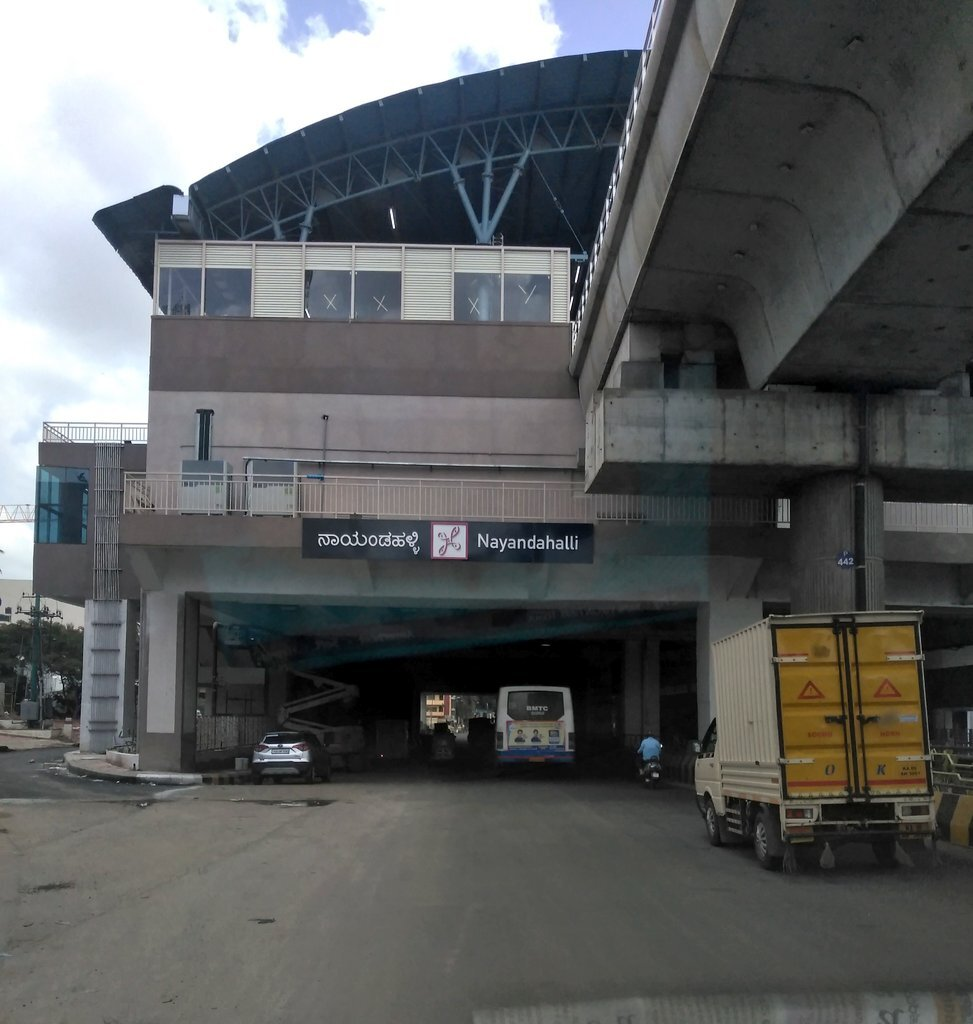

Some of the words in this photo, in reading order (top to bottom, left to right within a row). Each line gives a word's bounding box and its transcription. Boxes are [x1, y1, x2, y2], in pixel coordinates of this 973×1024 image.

[315, 525, 425, 561] ನಾಯಂಡಹಳ್ಳಿ
[471, 529, 583, 559] Nayandahalli